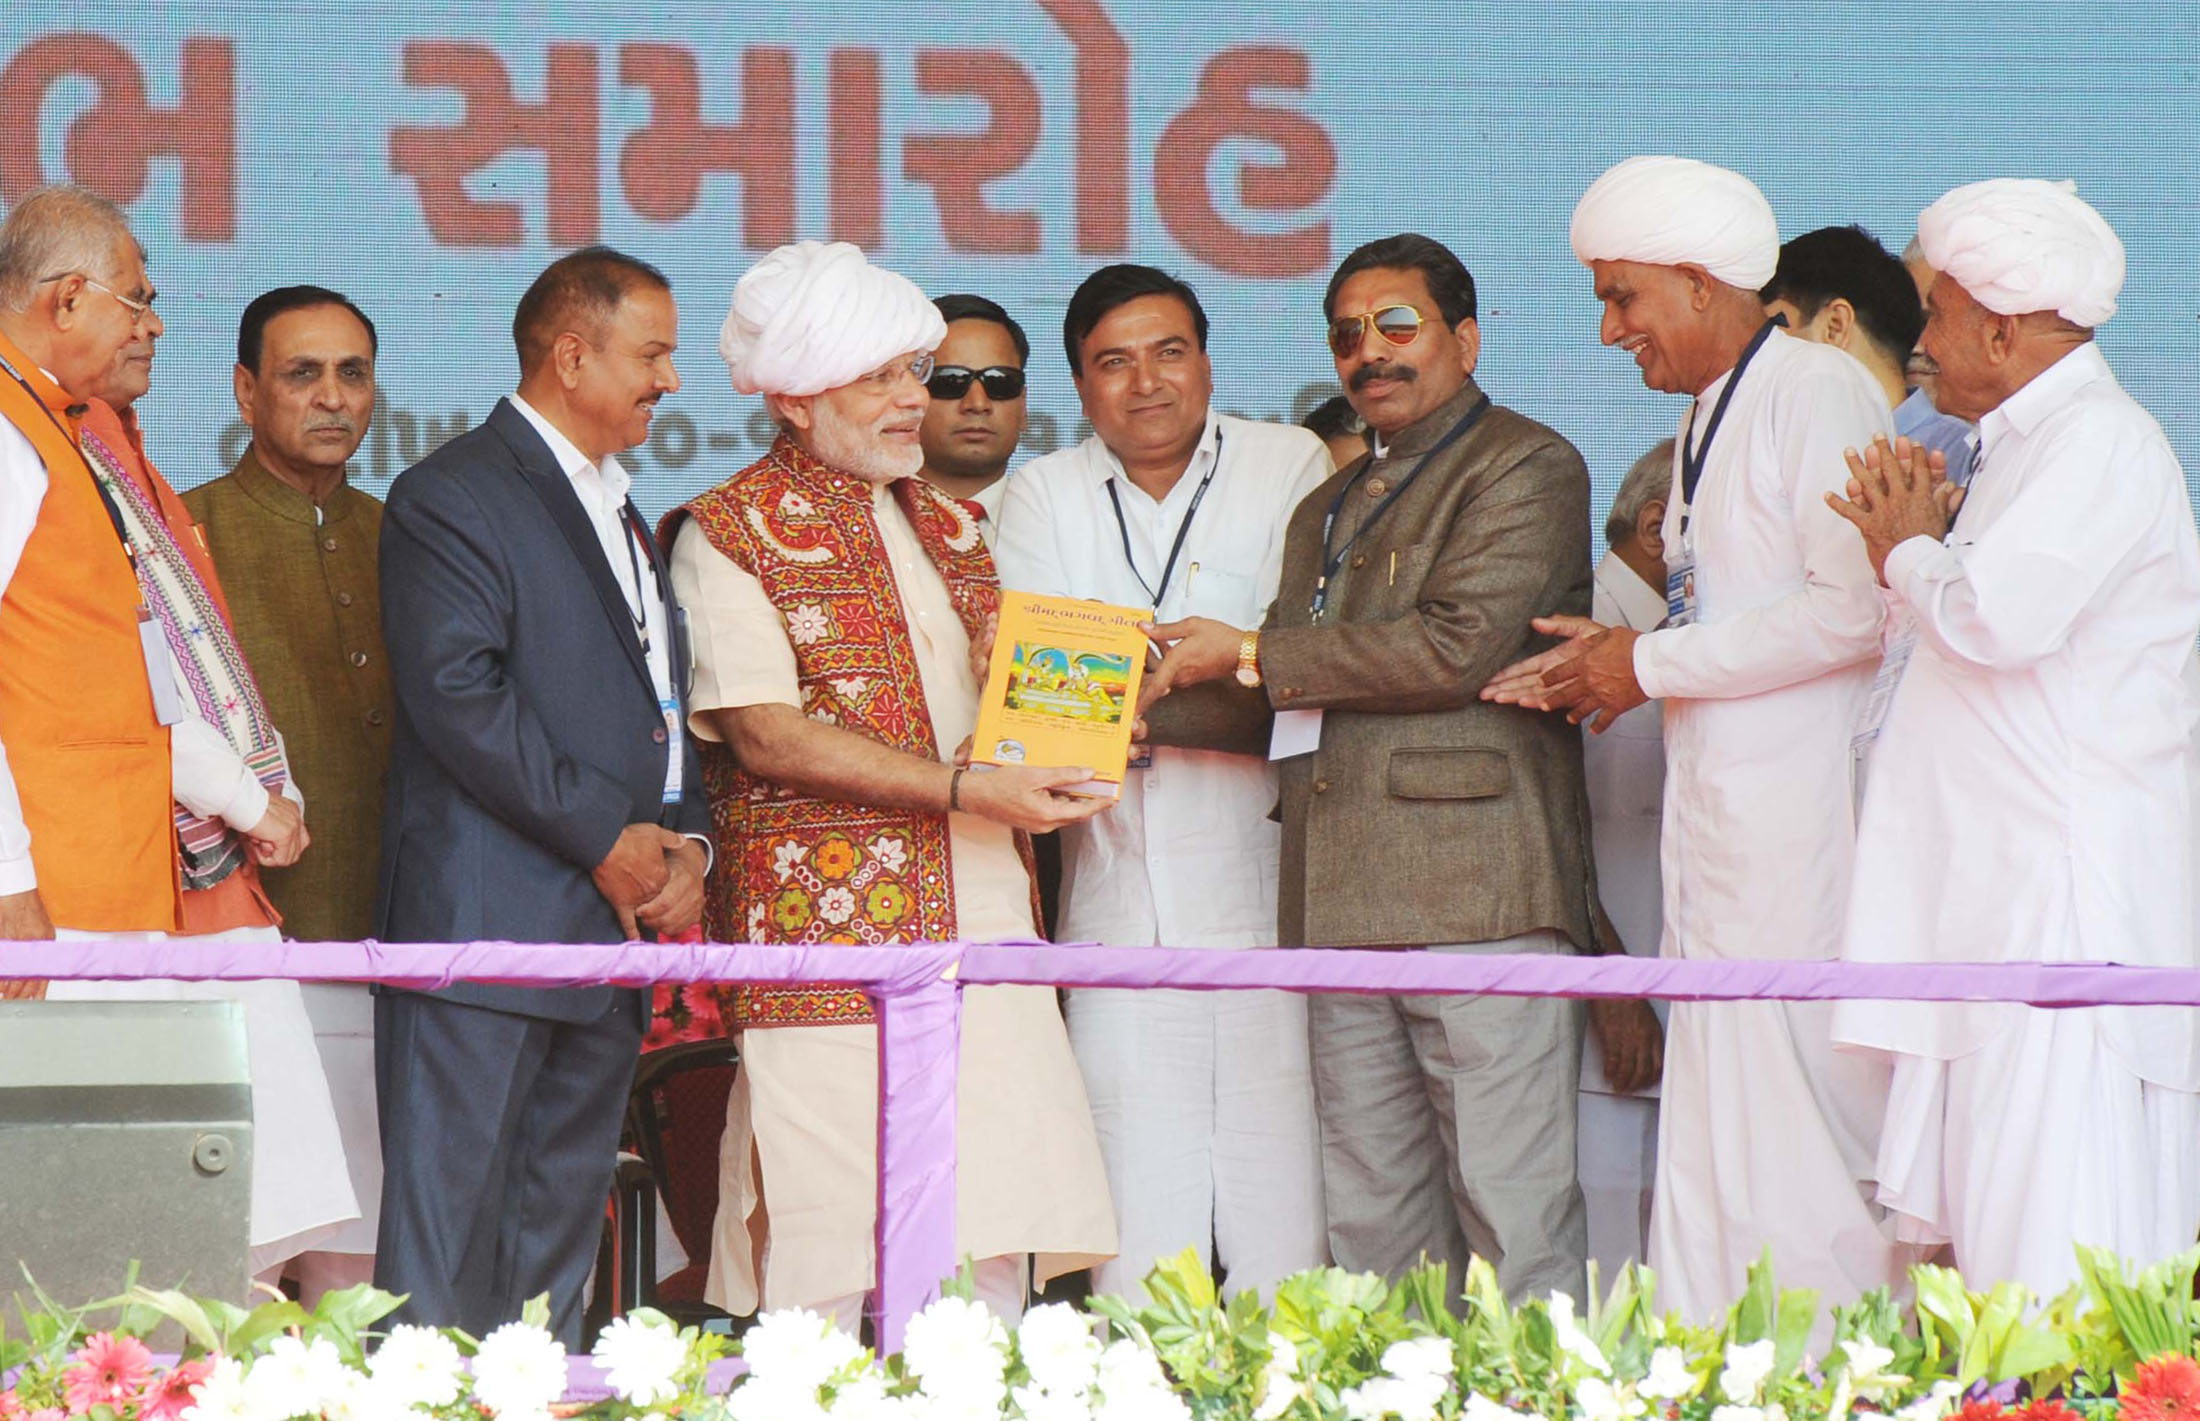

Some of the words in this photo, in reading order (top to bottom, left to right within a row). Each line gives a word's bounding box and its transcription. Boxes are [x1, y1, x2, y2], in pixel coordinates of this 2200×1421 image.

[0, 17, 254, 252] ભ
[352, 0, 1353, 296] સમારોહ
[1103, 612, 1142, 632] ગીતા